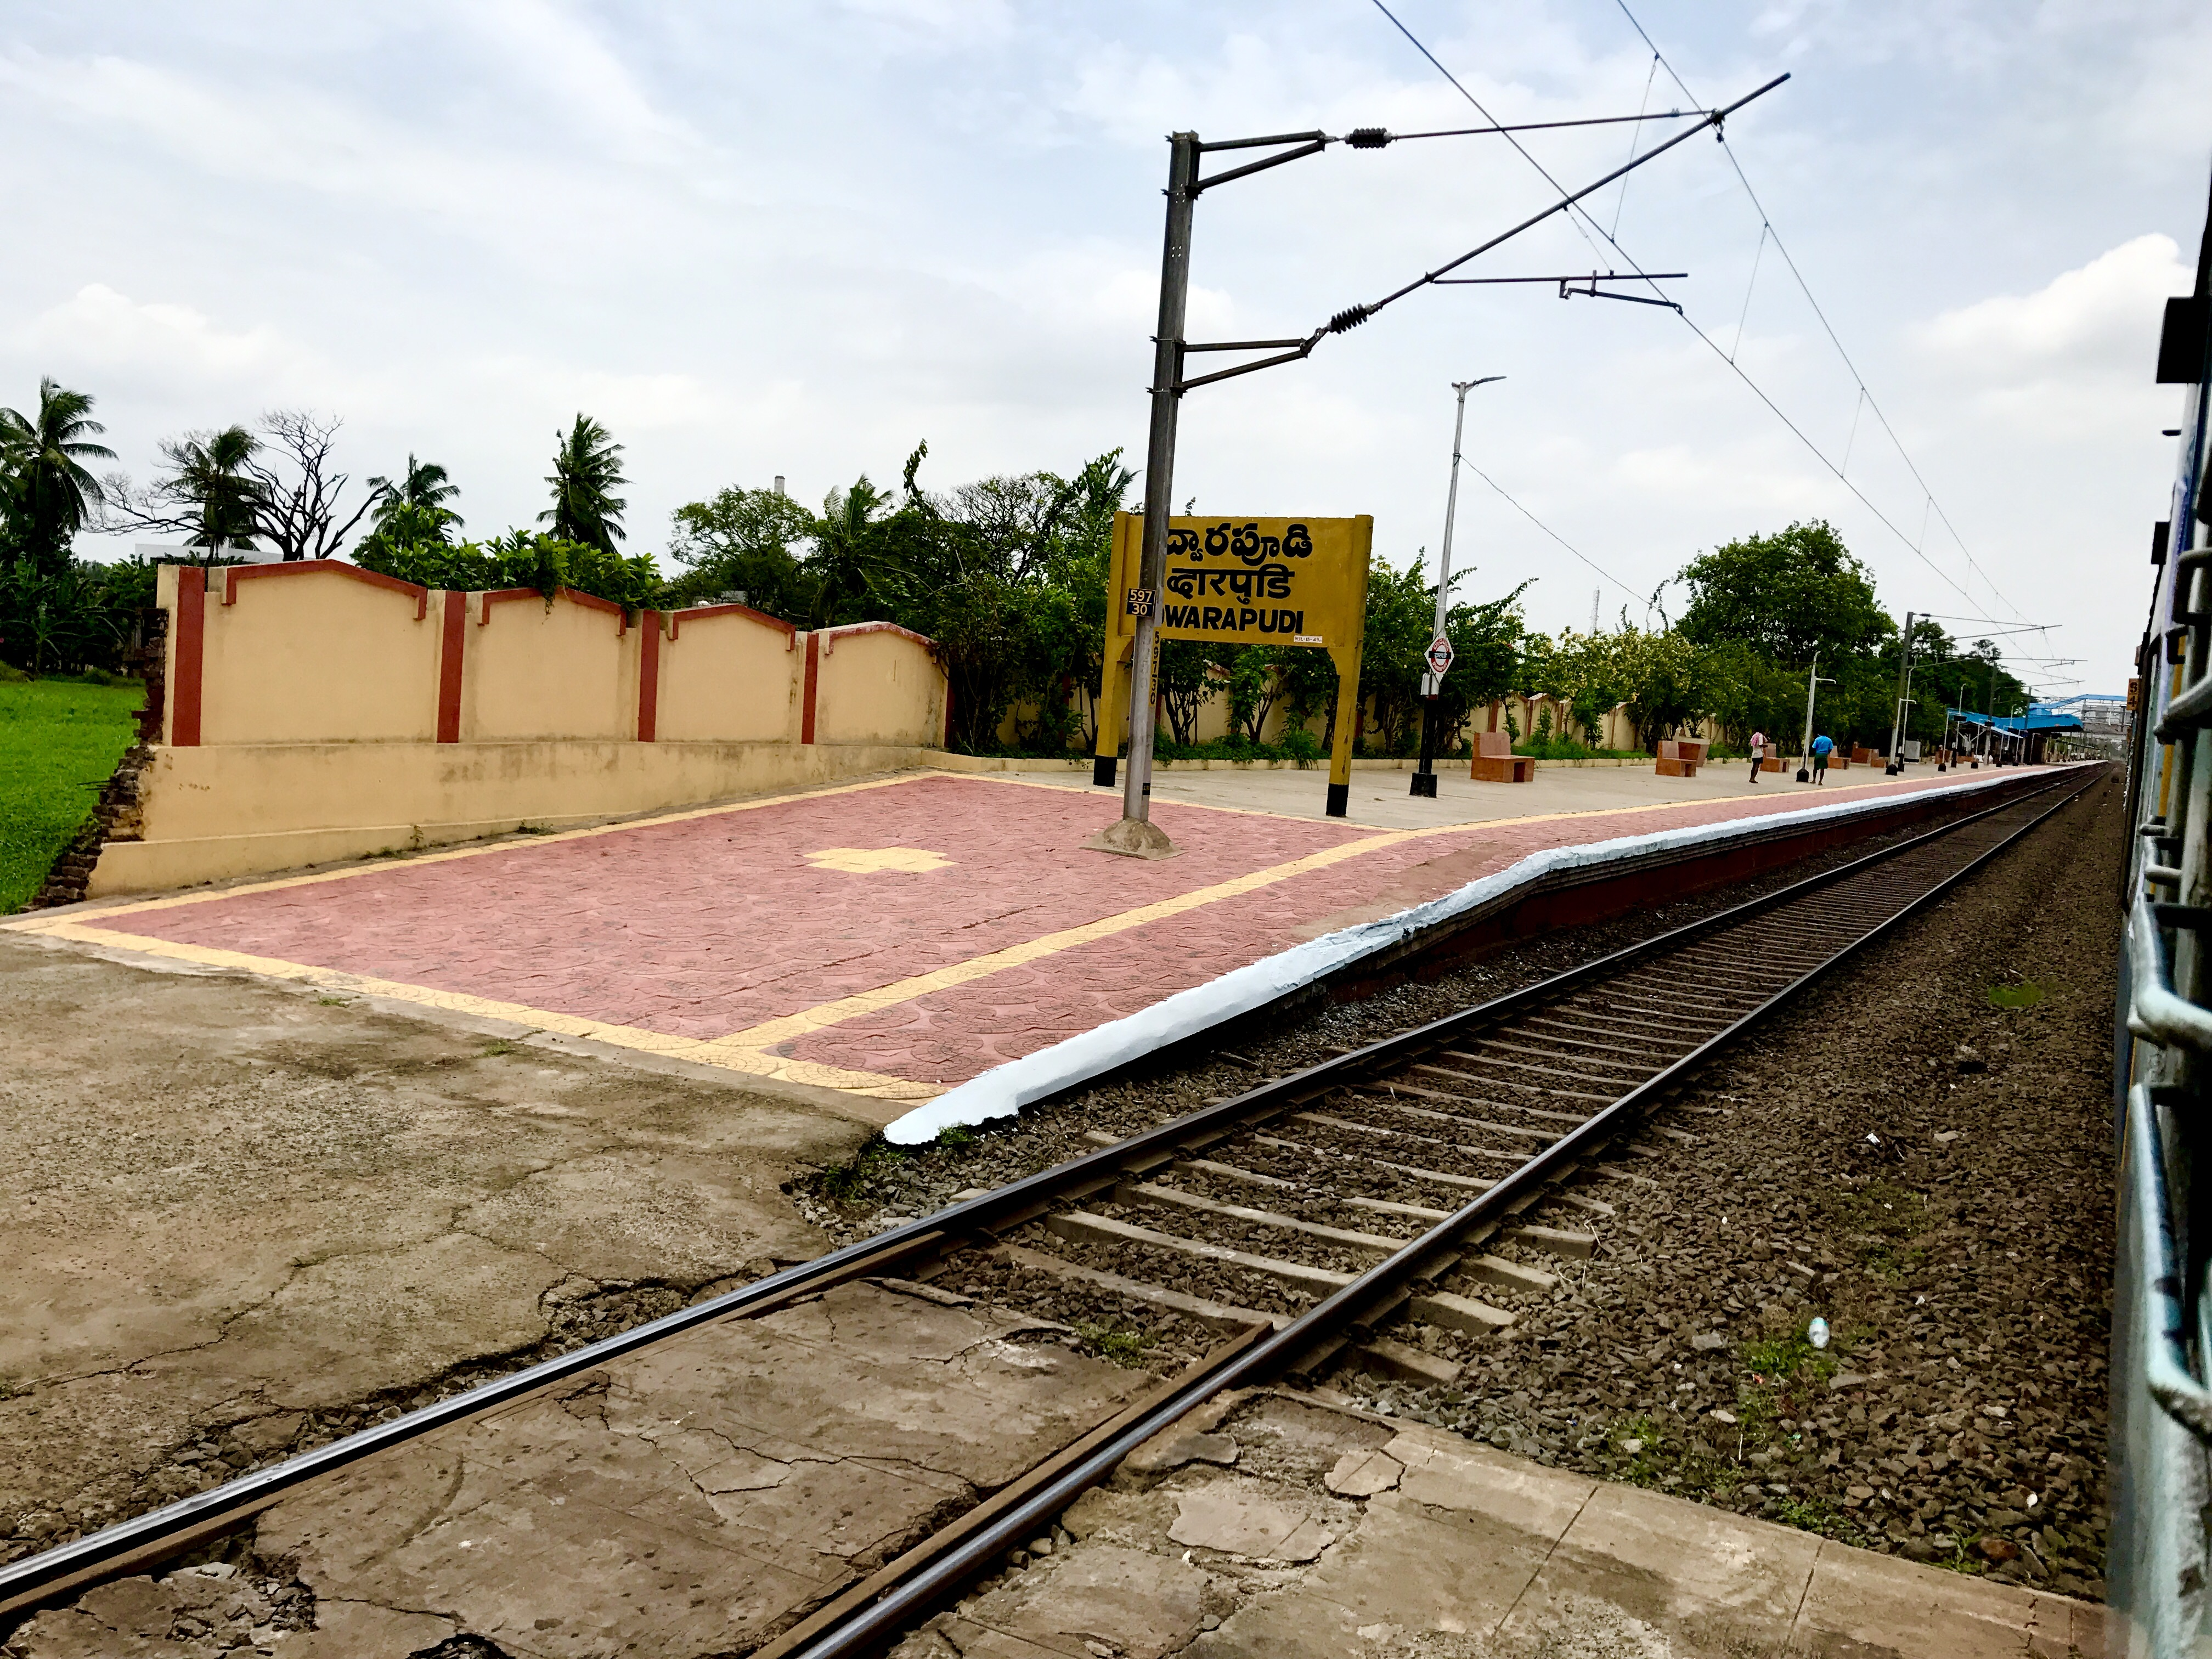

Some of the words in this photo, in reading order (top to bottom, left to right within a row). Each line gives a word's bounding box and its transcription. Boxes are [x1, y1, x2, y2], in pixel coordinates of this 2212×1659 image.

[1158, 517, 1316, 569] ద్వారపూడి
[1164, 561, 1297, 607] द्वारपुडि
[1163, 602, 1306, 638] WARAPUDI